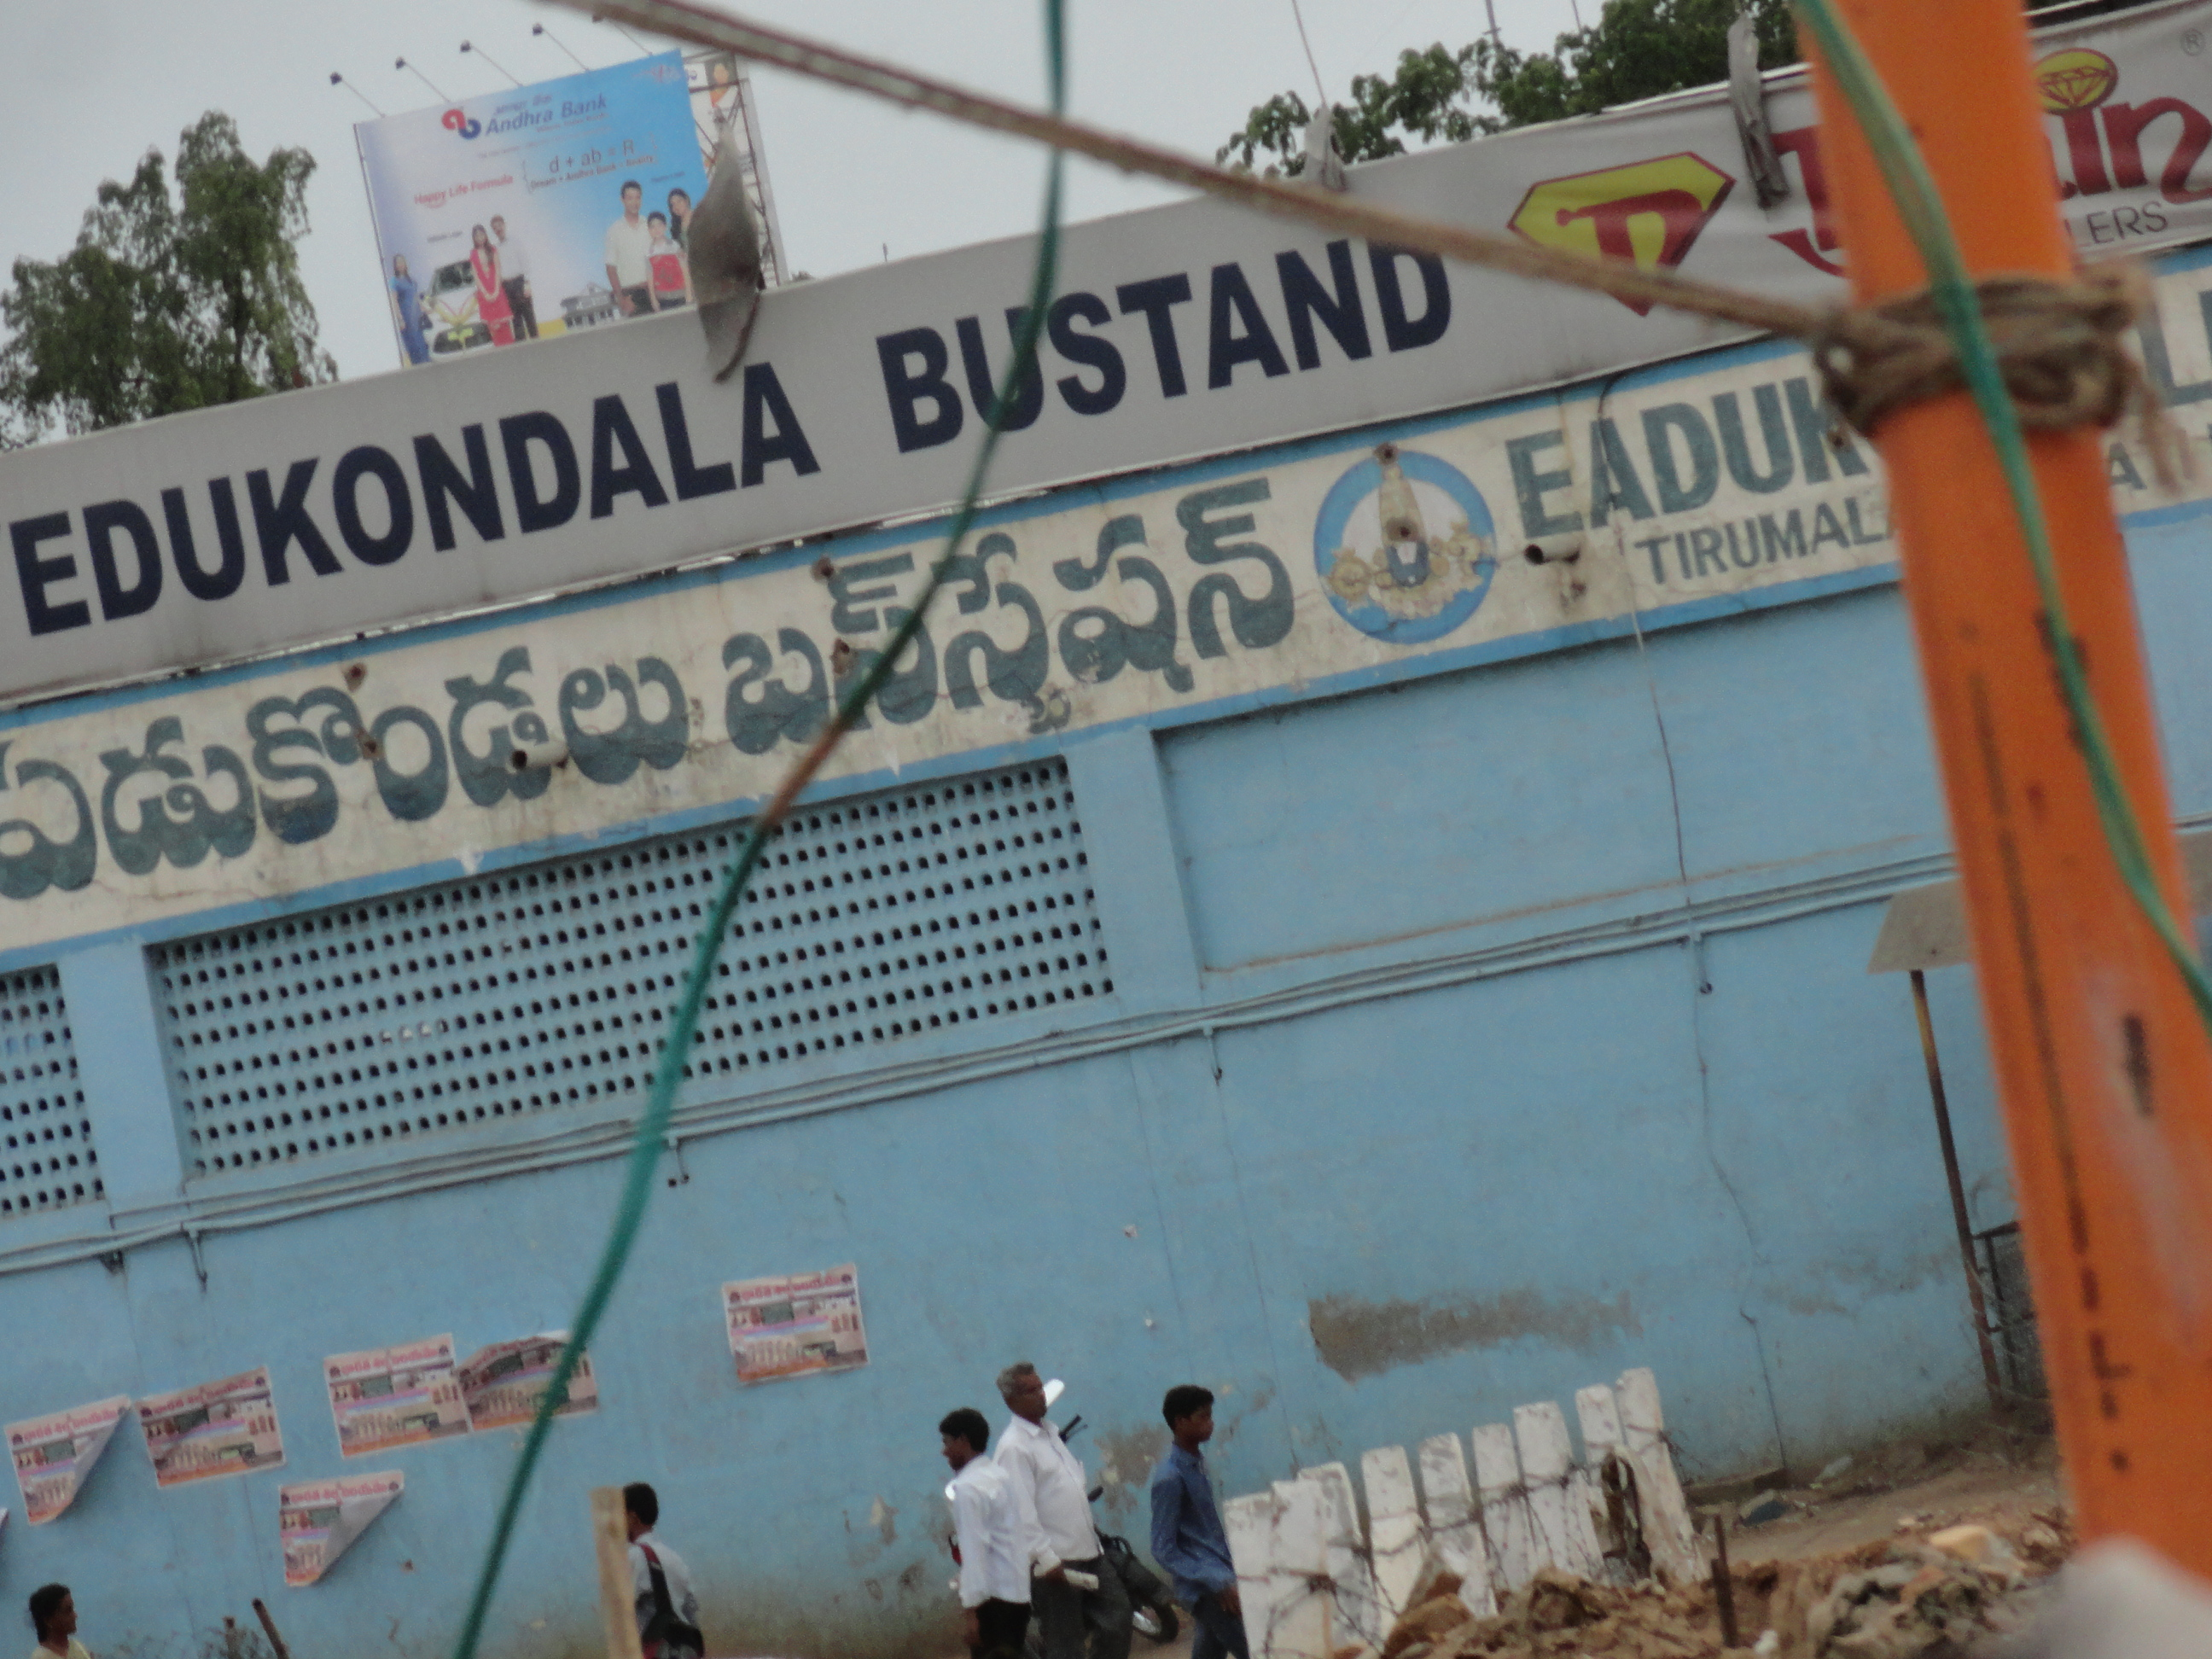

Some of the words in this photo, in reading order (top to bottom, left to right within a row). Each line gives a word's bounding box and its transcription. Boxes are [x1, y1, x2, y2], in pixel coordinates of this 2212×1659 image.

[476, 100, 557, 148] Andhra
[556, 87, 616, 131] Bank
[866, 201, 1458, 460] BUSTAND
[2075, 189, 2178, 258] ERS
[5, 345, 827, 643] EDUKONDALA
[719, 463, 1307, 769] బస్ స్టేషన్
[1633, 487, 1892, 587] TIRUMAL
[4, 632, 701, 910] ఎడుకొండలు